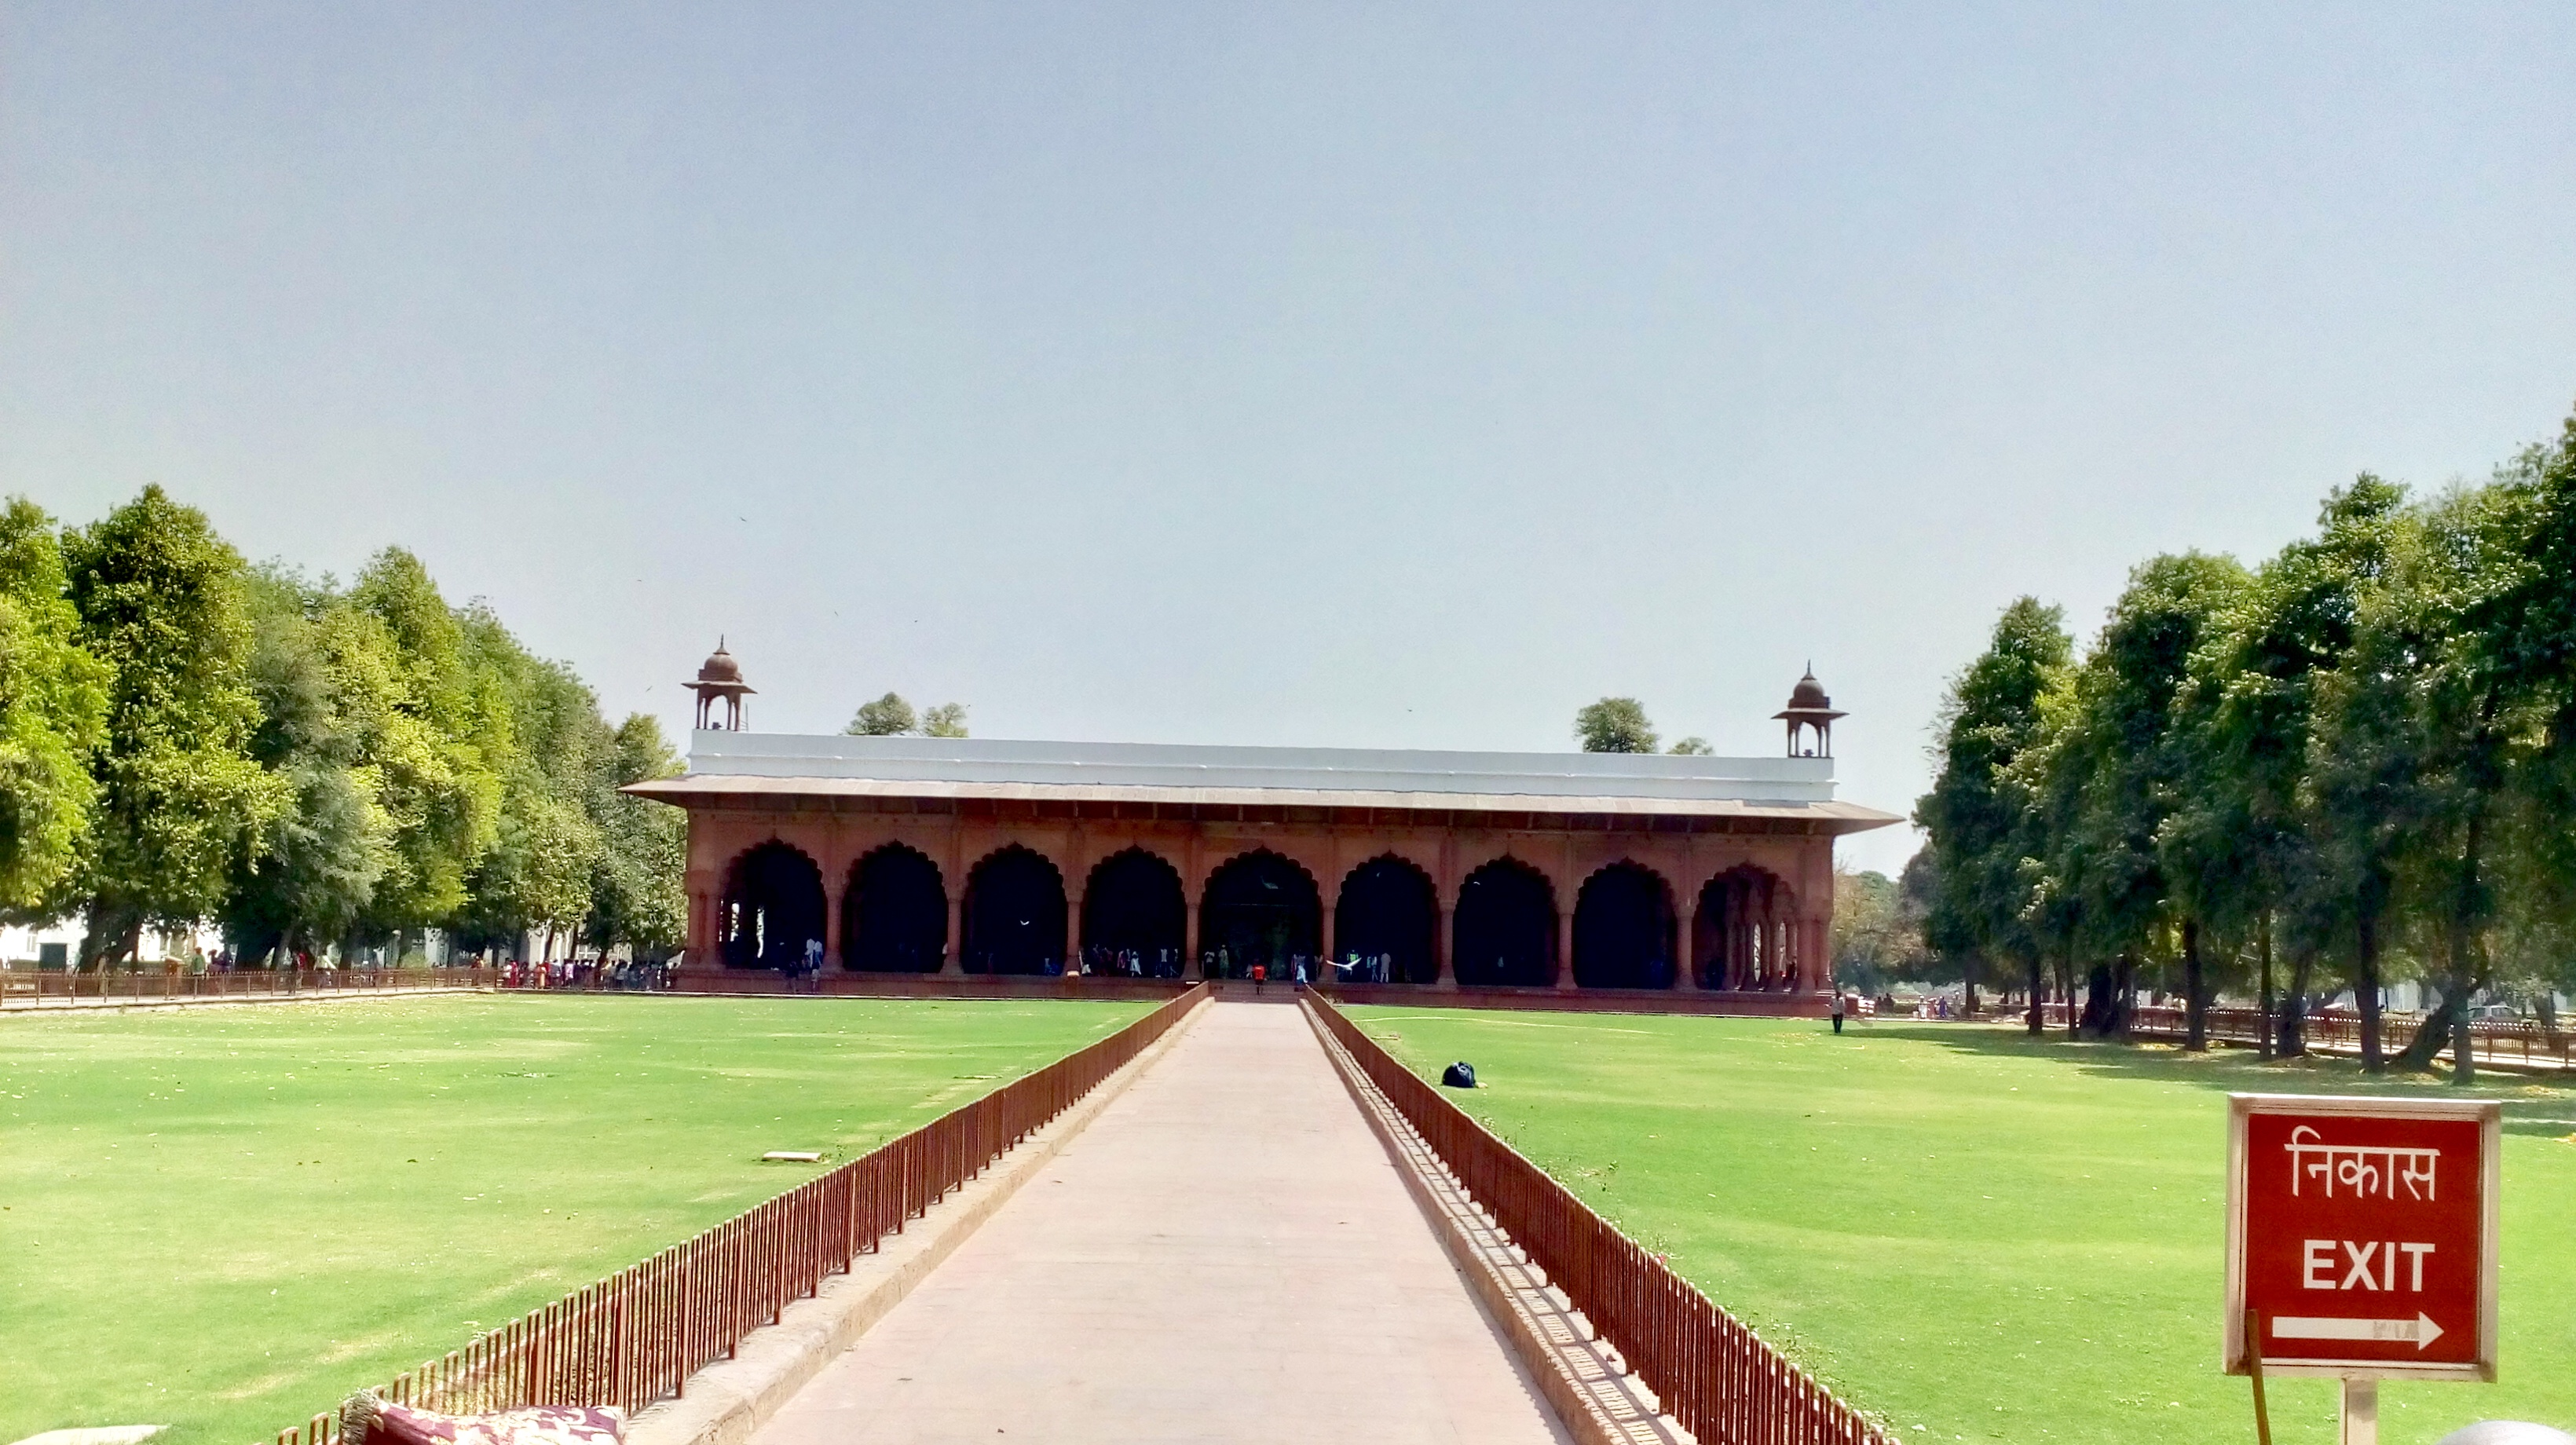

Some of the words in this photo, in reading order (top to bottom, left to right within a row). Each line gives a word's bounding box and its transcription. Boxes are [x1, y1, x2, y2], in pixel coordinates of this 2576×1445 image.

[2278, 1120, 2443, 1203] निकास
[2300, 1235, 2439, 1293] EXIT